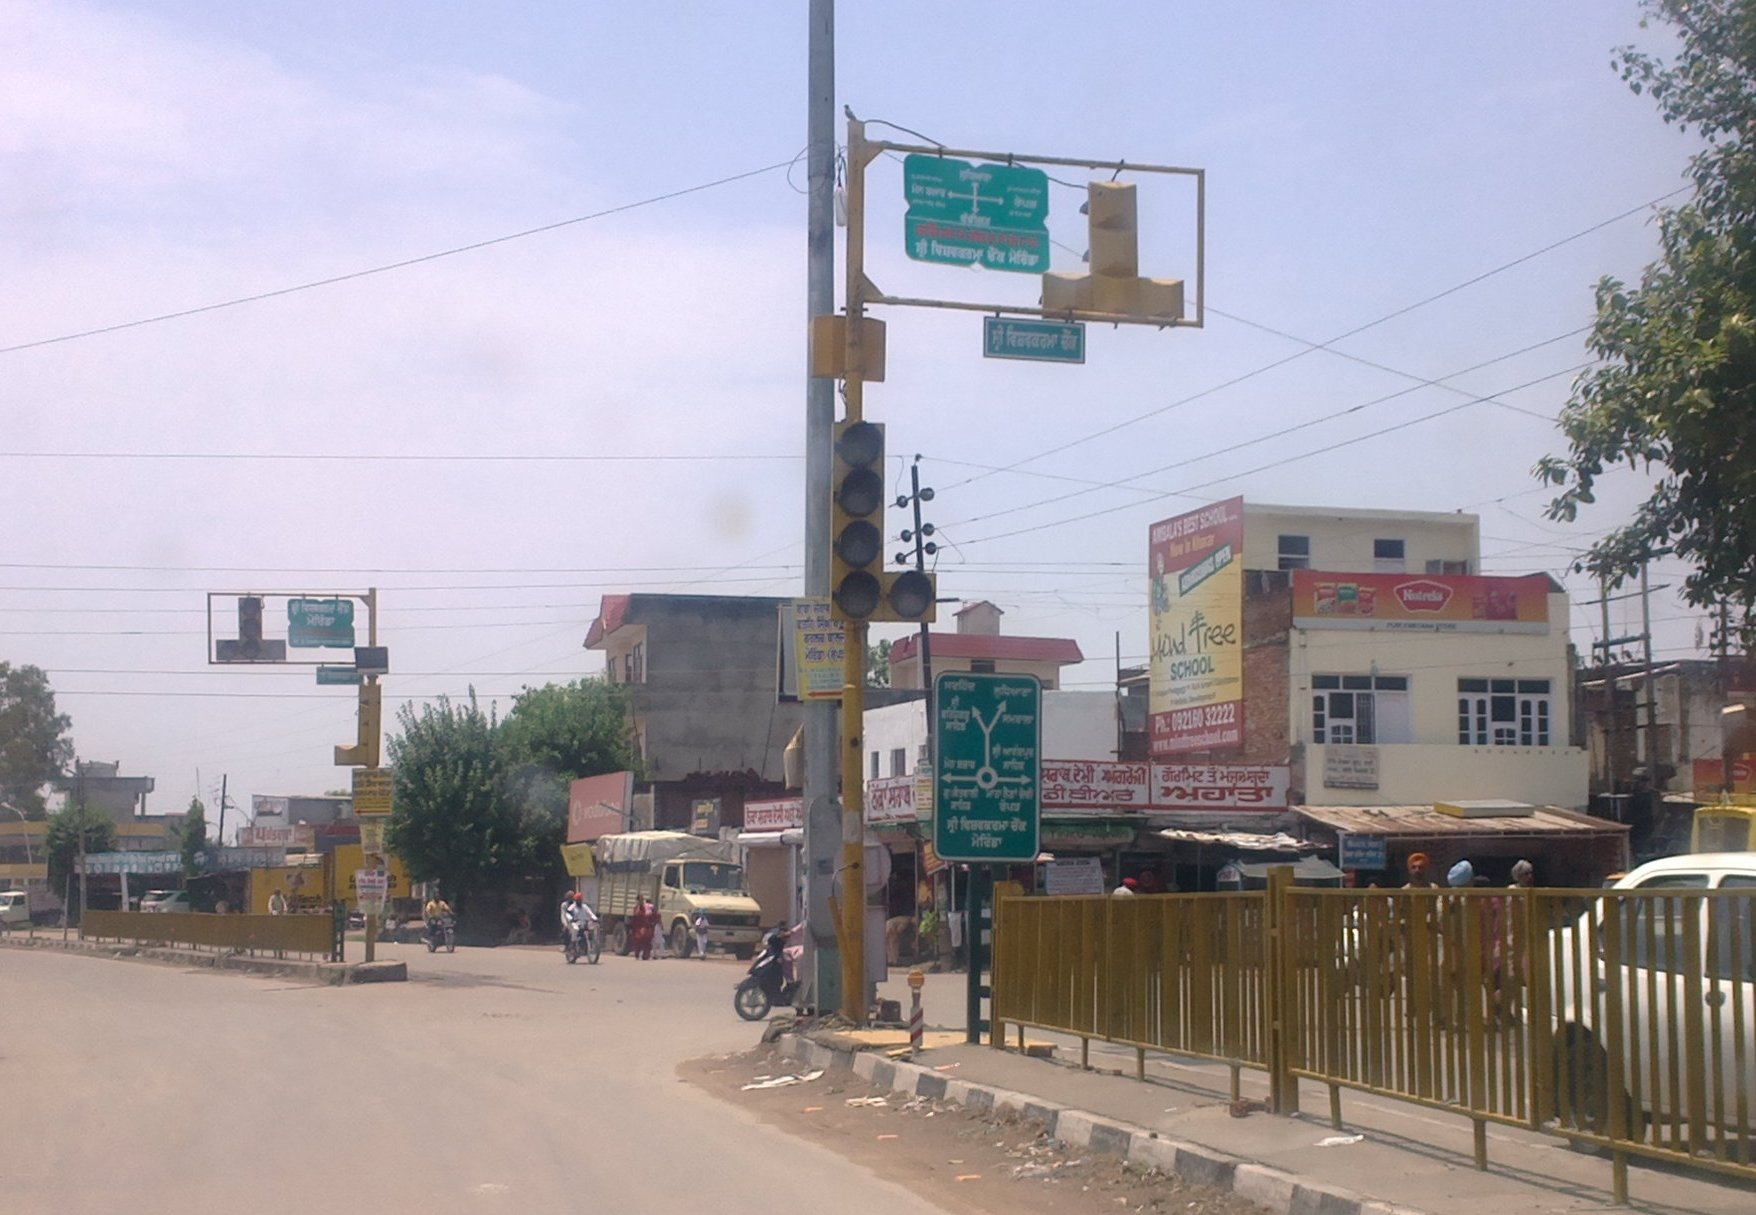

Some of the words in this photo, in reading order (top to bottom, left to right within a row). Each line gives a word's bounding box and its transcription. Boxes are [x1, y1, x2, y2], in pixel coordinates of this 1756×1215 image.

[1149, 620, 1193, 667] Mind
[1187, 617, 1241, 655] Tree
[1165, 653, 1220, 683] SCHOOL
[1151, 711, 1169, 737] Ph:
[1168, 699, 1239, 733] 09216032222
[1067, 784, 1141, 805] ਬੀਅਰ
[1153, 783, 1277, 805] ਅਹਾਤਾ